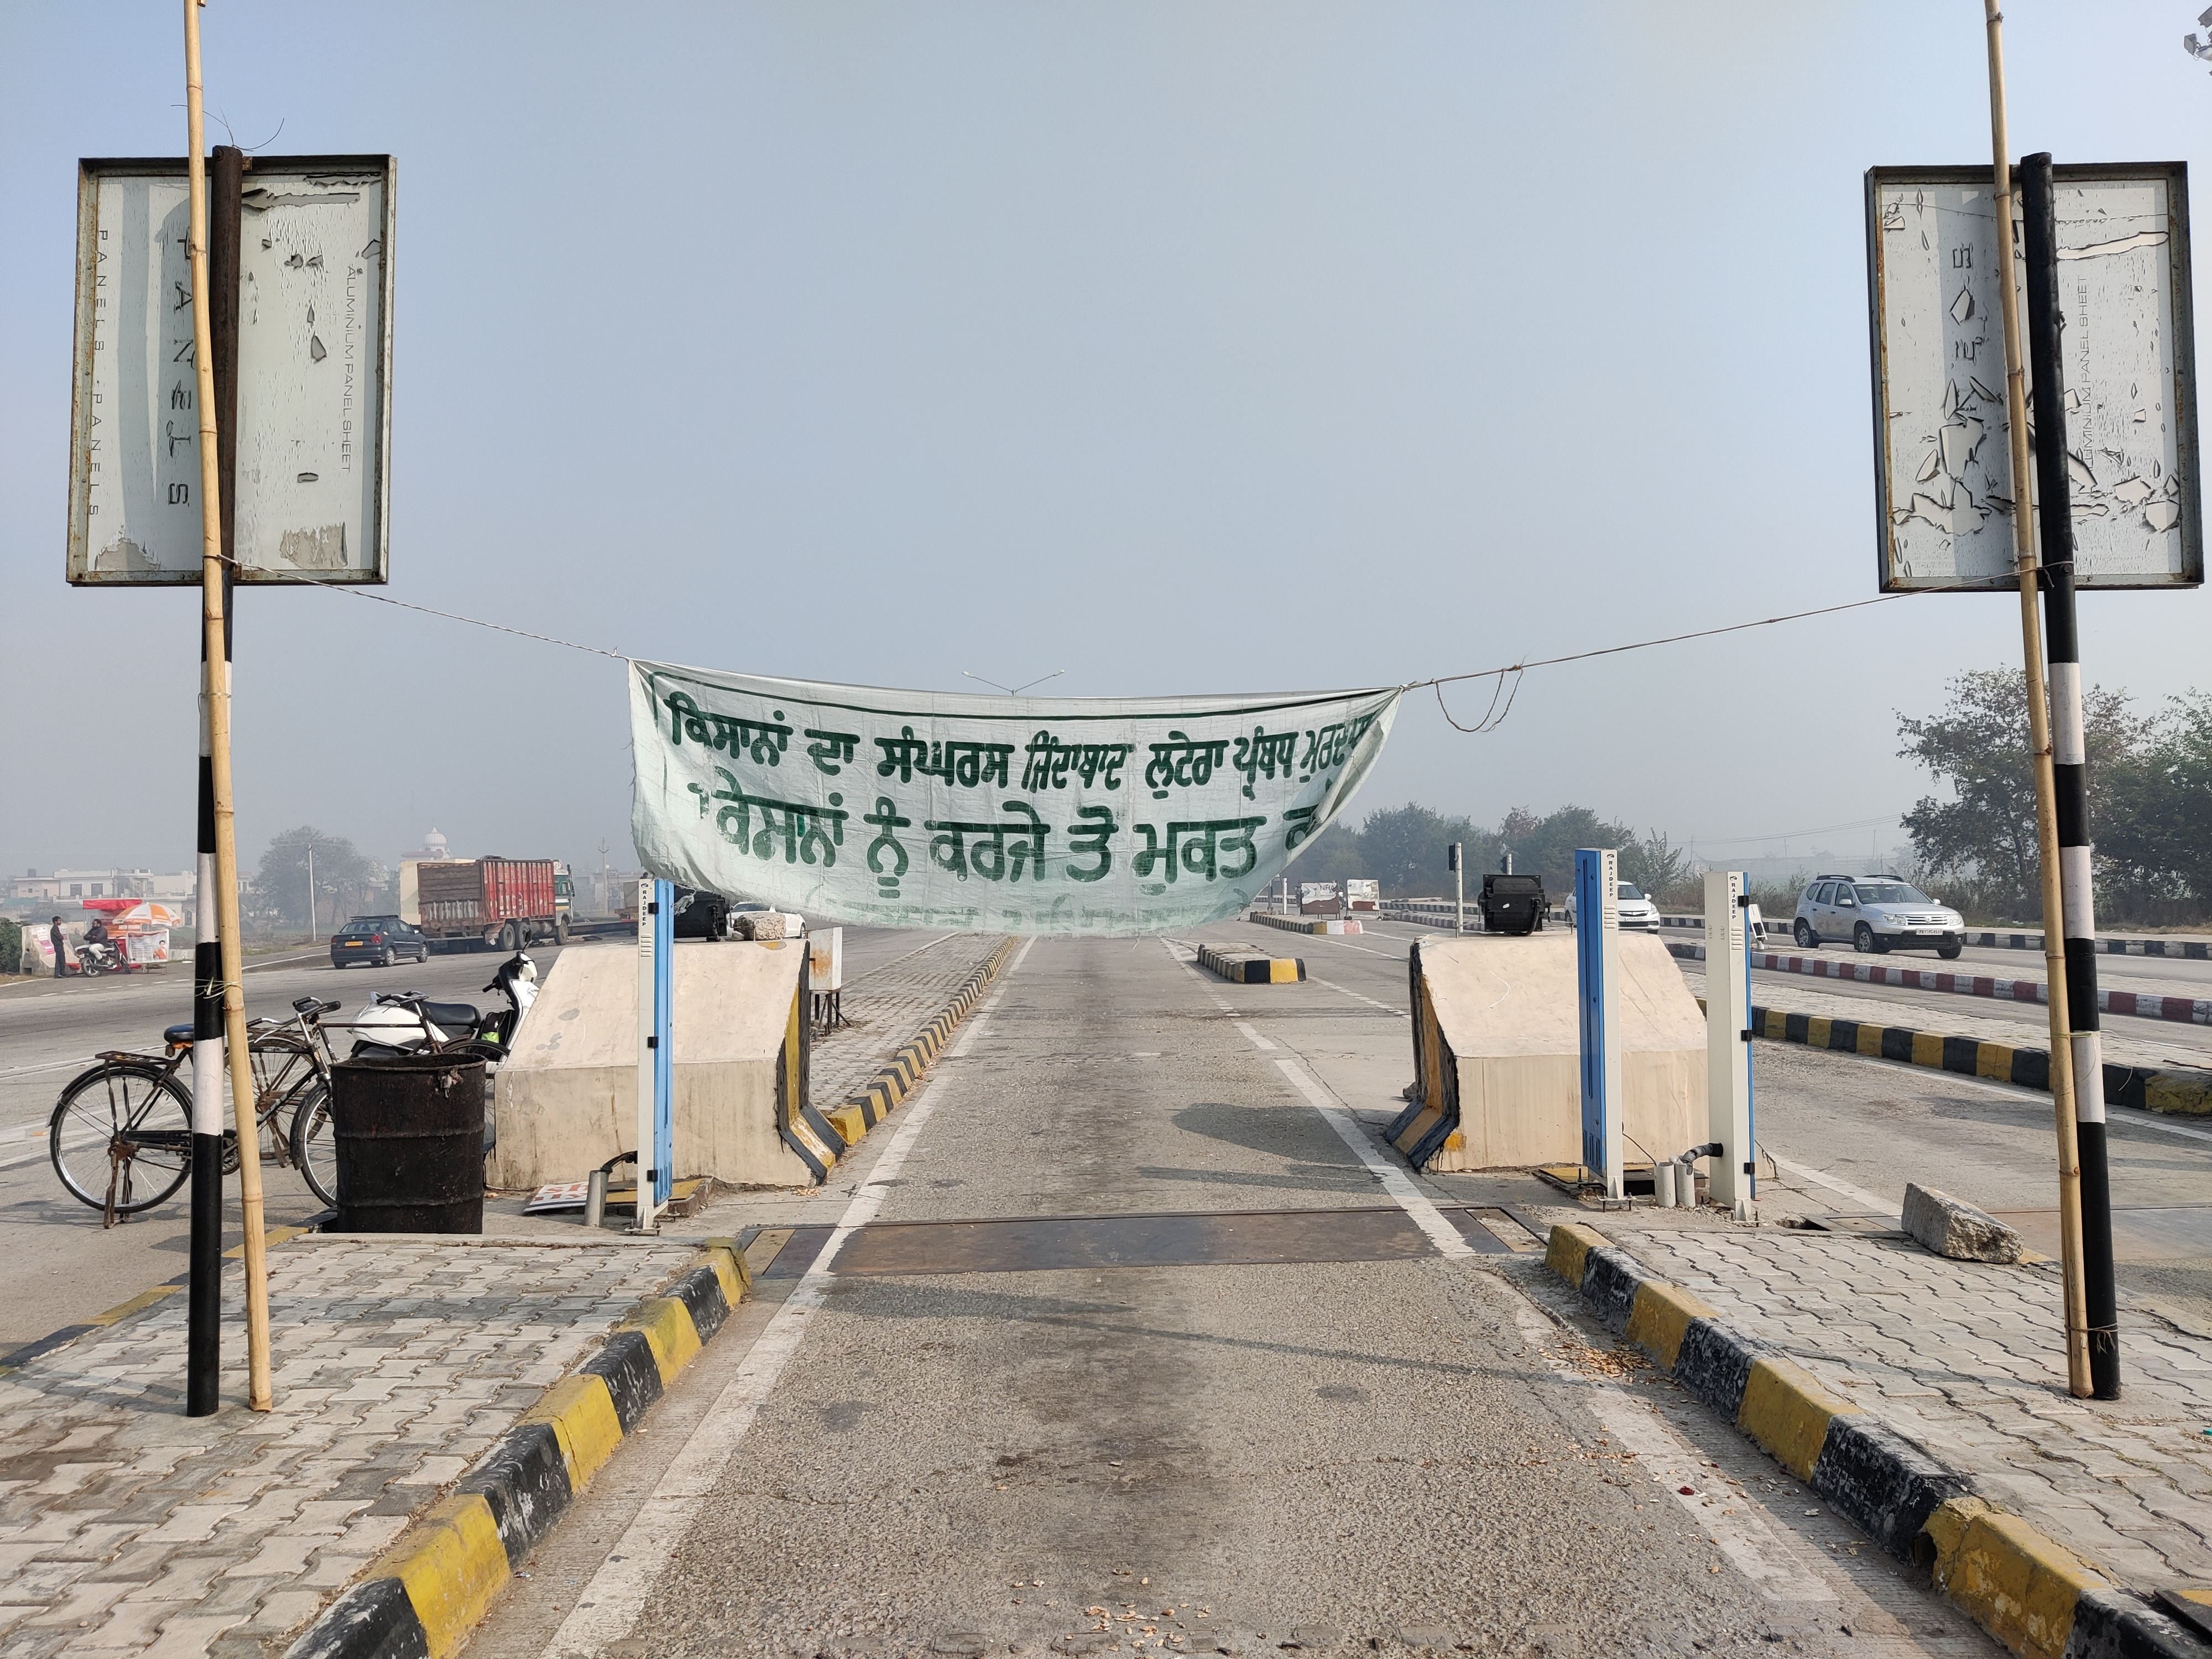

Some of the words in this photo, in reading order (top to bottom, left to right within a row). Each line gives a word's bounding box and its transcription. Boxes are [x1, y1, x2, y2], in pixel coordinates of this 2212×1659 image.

[92, 223, 113, 359] PANELS
[339, 261, 359, 363] ALUMINIUM
[2073, 272, 2095, 330] SHEET
[87, 390, 106, 521] PANELS
[159, 280, 203, 517] ANELS
[338, 418, 354, 478] SHEET
[337, 362, 357, 418] PANEL
[2077, 384, 2096, 463] LUMINIUM
[2077, 328, 2099, 384] PANEL
[655, 687, 804, 777] ਕਿਸਾਨਾਂ
[795, 719, 867, 784] ਦਾ
[867, 716, 1022, 795] ਸੰਘਰਸ
[1014, 723, 1139, 797] ਜਿੰਦਾਬਾਦ
[1135, 724, 1232, 805] ਲੁਟੇਰ
[1224, 720, 1304, 804] ਪ੍ਰੰਬਧ
[1290, 712, 1351, 789] ਮੁਰਦ
[679, 755, 857, 875] ਕਿਸਾਨਾਂ
[853, 790, 921, 904] ਨੂੰ
[920, 794, 1061, 892] ਕਰਜੇ
[1059, 800, 1119, 888] ਤੋ
[1117, 810, 1273, 903] ਮੁਕਤ